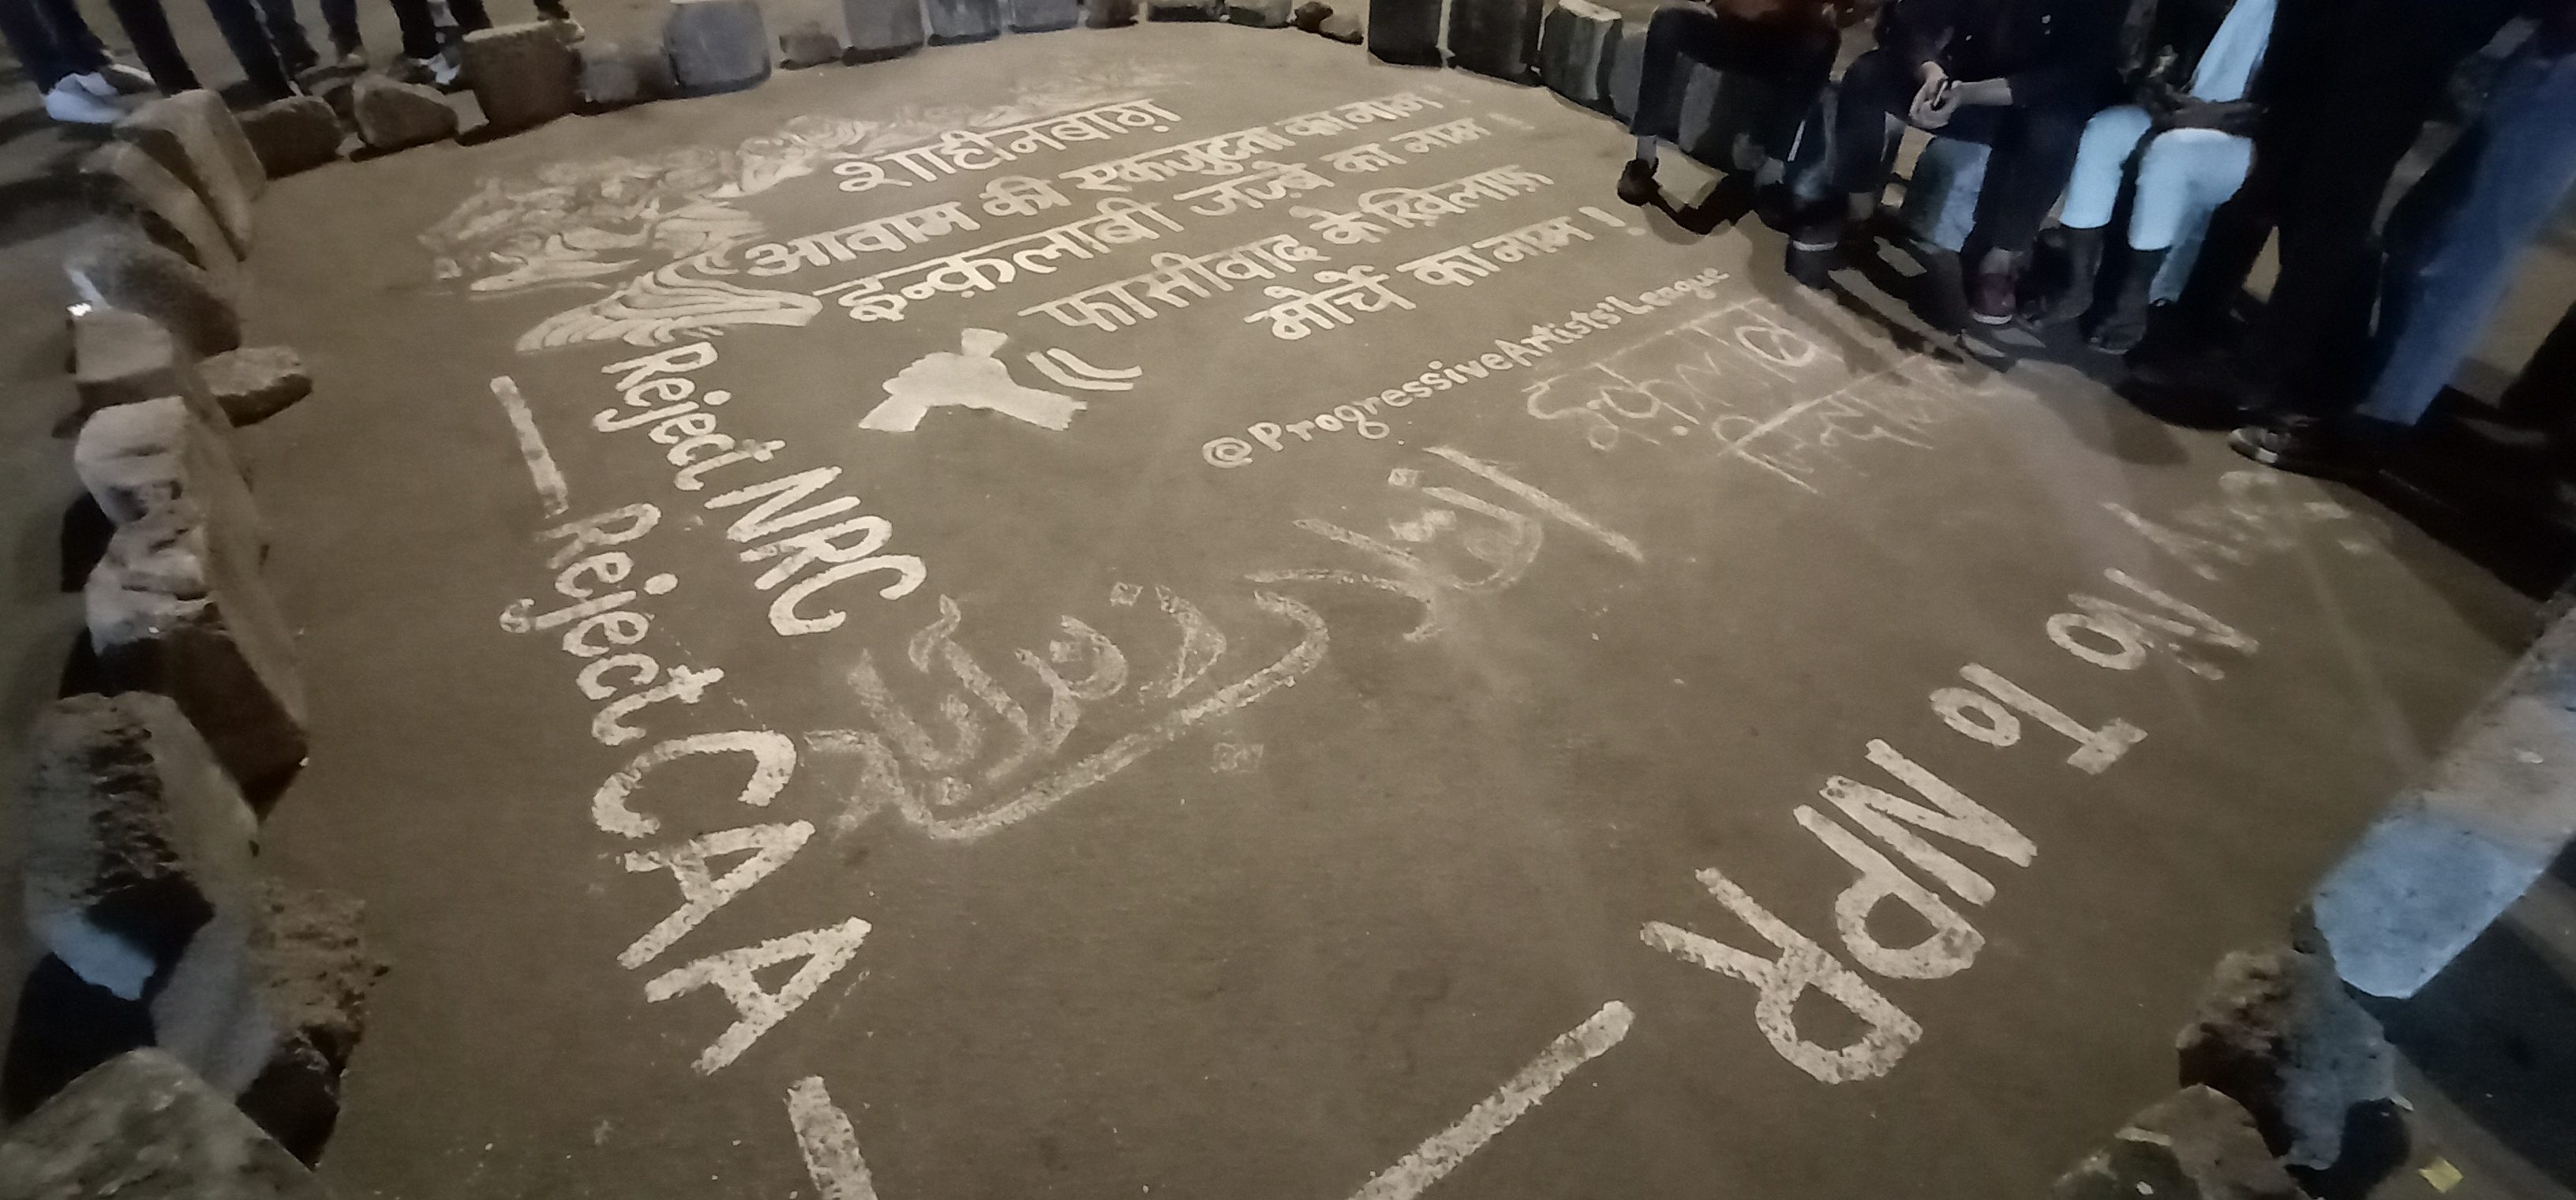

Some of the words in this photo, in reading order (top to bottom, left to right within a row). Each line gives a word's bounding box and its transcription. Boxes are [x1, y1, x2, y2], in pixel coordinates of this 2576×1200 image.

[584, 335, 789, 499] Reject
[740, 194, 983, 289] आवाम
[806, 189, 1190, 332] इन्क़लाबी
[827, 94, 1182, 204] शाहीनबाग़
[971, 170, 1075, 227] की
[1011, 229, 1335, 339] फासीवाद
[1056, 120, 1297, 197] एकजुटता
[1169, 156, 1340, 225] जज्बे
[1270, 105, 1361, 143] का
[1236, 262, 1421, 352] मोर्चें
[1279, 200, 1394, 252] के
[1321, 137, 1417, 180] का
[1245, 343, 1517, 457] Progressive
[1335, 85, 1447, 135] नाम
[1390, 114, 1493, 159] नाम
[1396, 240, 1503, 297] का
[1350, 161, 1555, 237] खि़लाफ़
[1470, 213, 1597, 277] नाम
[1491, 301, 1628, 376] Artists
[1597, 262, 1735, 321] League
[1515, 284, 1848, 466] इन्कलाब
[1703, 339, 2052, 515] जिन्दाबाद
[697, 460, 934, 646] NRC
[491, 496, 738, 761] Reject
[2041, 556, 2267, 703] No
[1924, 649, 2159, 788] To
[584, 724, 882, 1093] CAA
[1631, 728, 2046, 1102] NPR